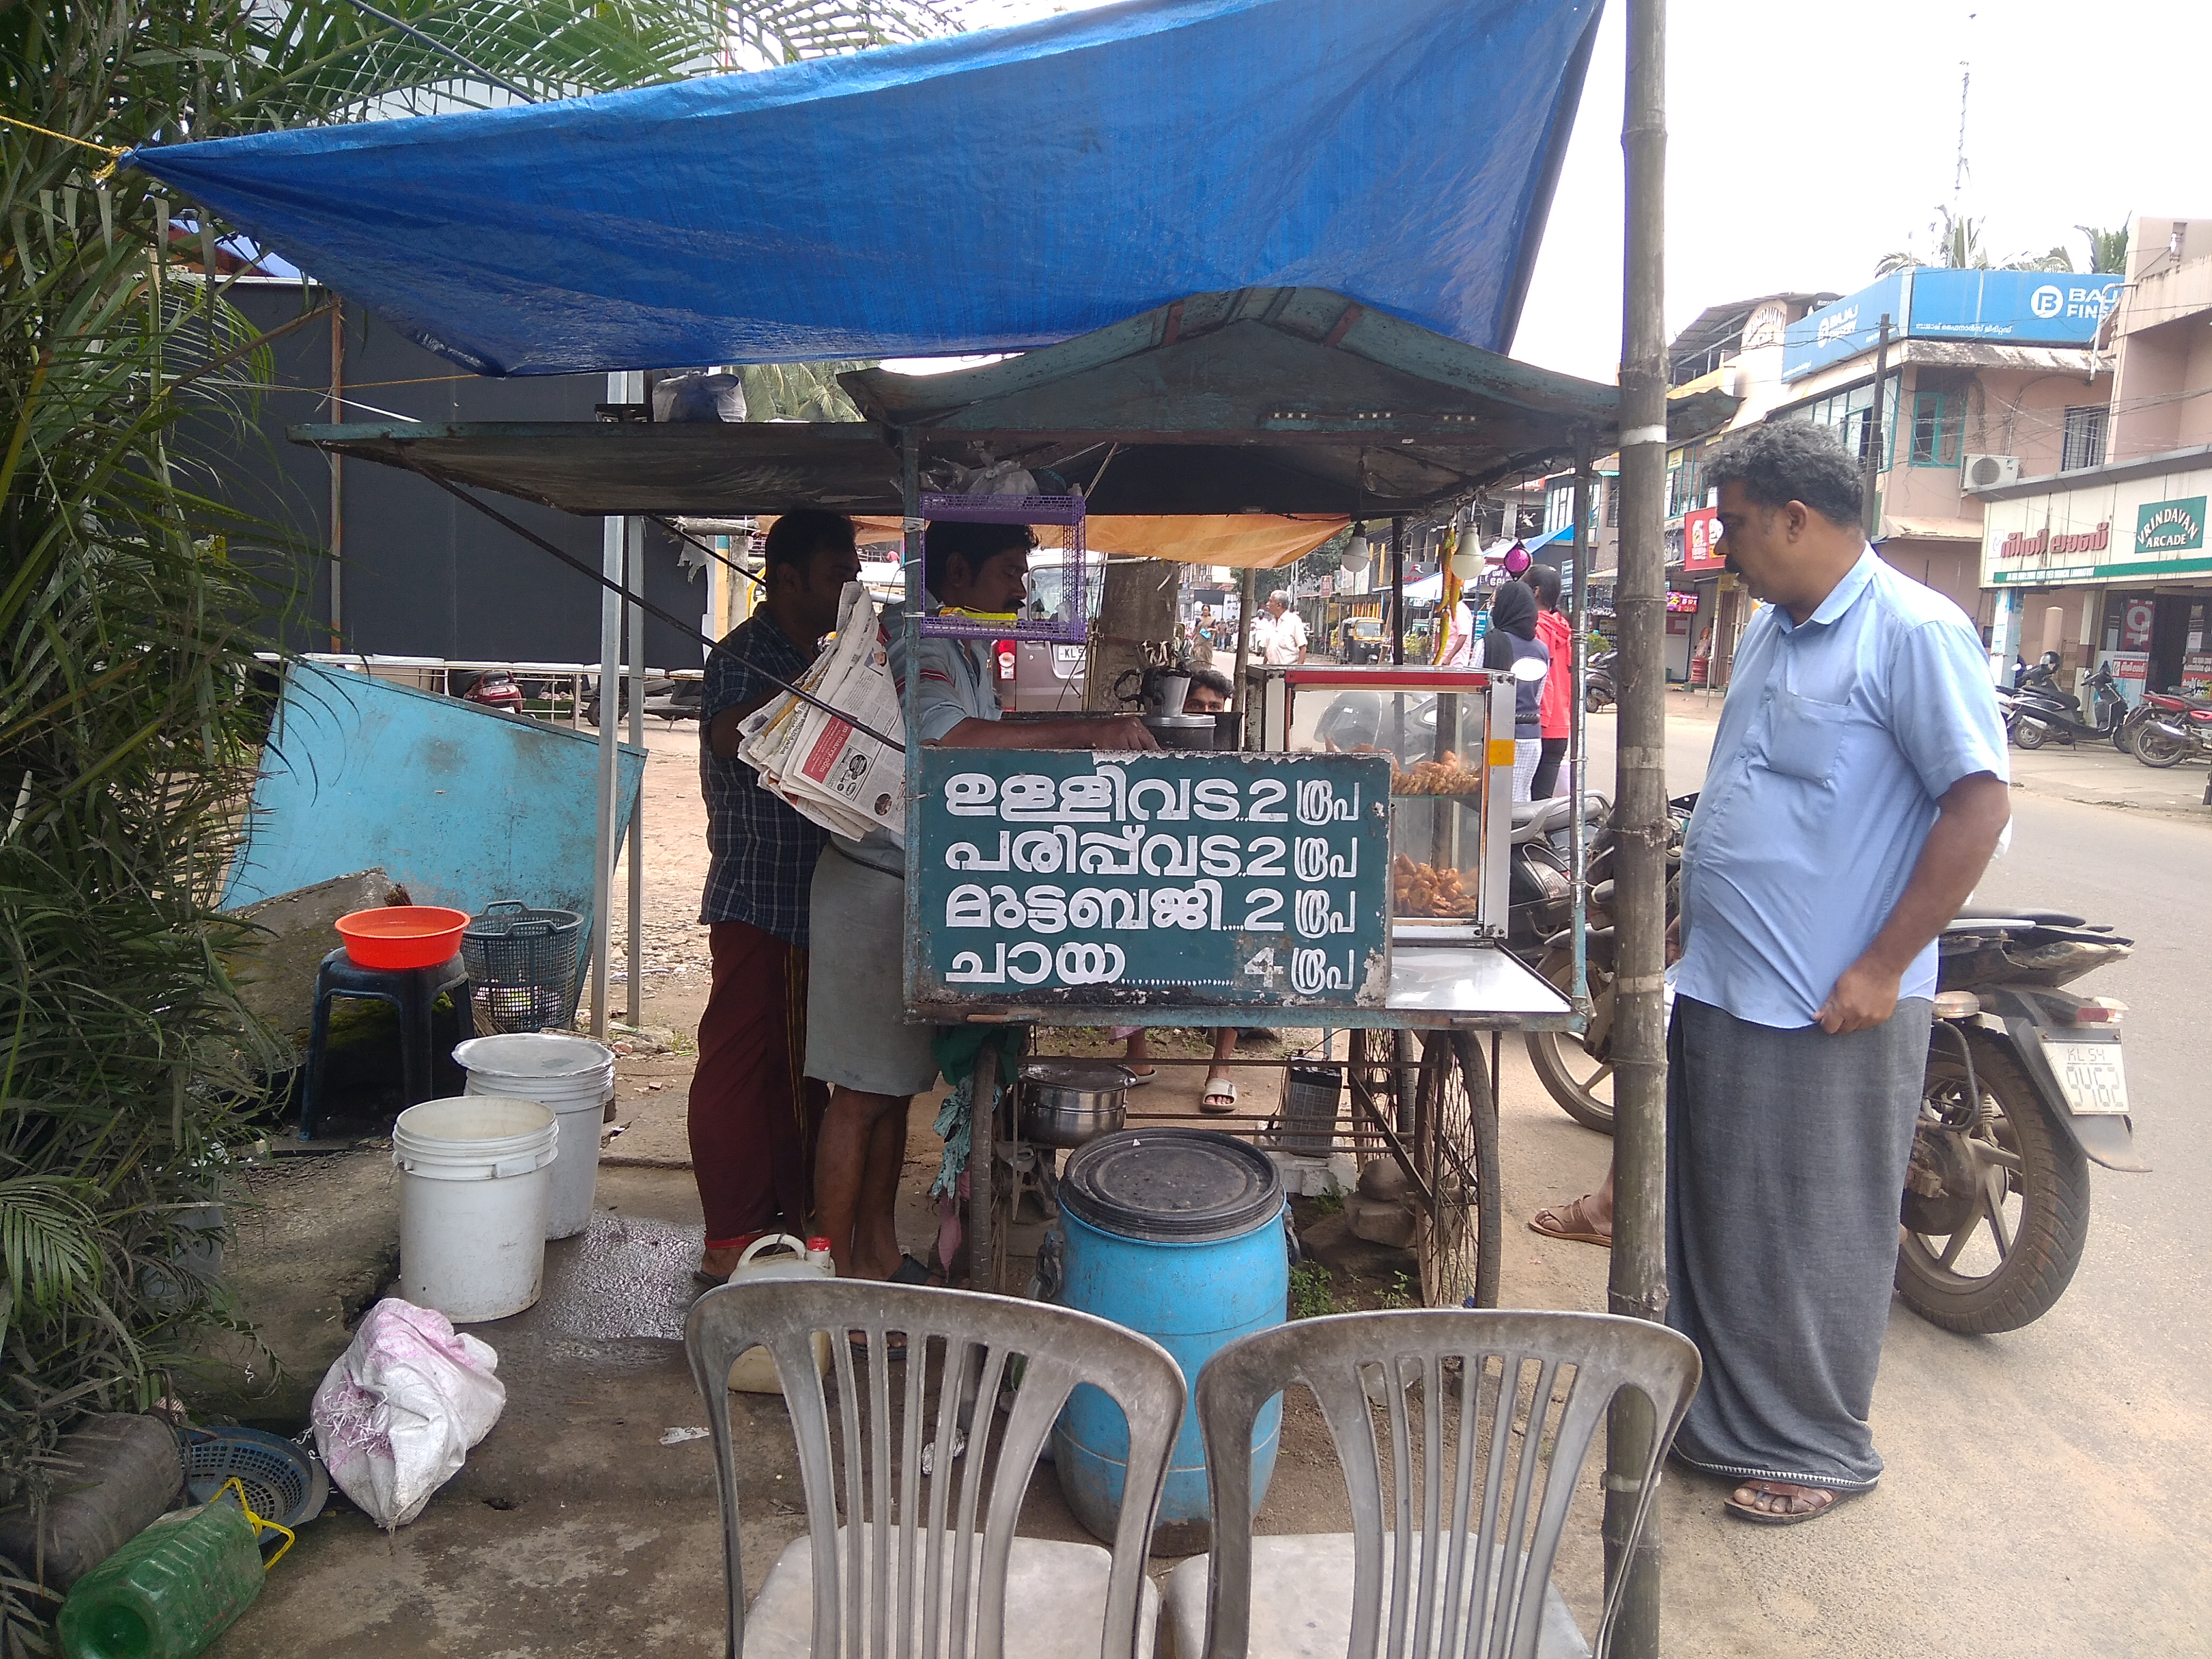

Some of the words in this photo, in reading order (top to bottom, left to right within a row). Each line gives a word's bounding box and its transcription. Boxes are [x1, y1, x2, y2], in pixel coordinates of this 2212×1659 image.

[1937, 317, 1988, 338] ഫൈനാൻസ്
[1980, 318, 2018, 341] ലിമിറ്റഡ്
[1993, 523, 2052, 562] നീതി
[2043, 517, 2112, 556] ലുബ്
[2135, 532, 2190, 551] ARCADE
[2132, 504, 2202, 548] VRINDAVAN
[942, 759, 1293, 827] ഉള്ളിവടമ
[1285, 774, 1365, 830] രൂപ
[942, 821, 1294, 879] പരിപ്പ് വട 2
[1293, 831, 1359, 886] രൂപ
[939, 872, 1227, 937] മുട്ടബജി
[1238, 881, 1361, 941] 2 രൂപ
[940, 937, 1130, 987] ചായ
[1238, 940, 1358, 998] 4 രൂ